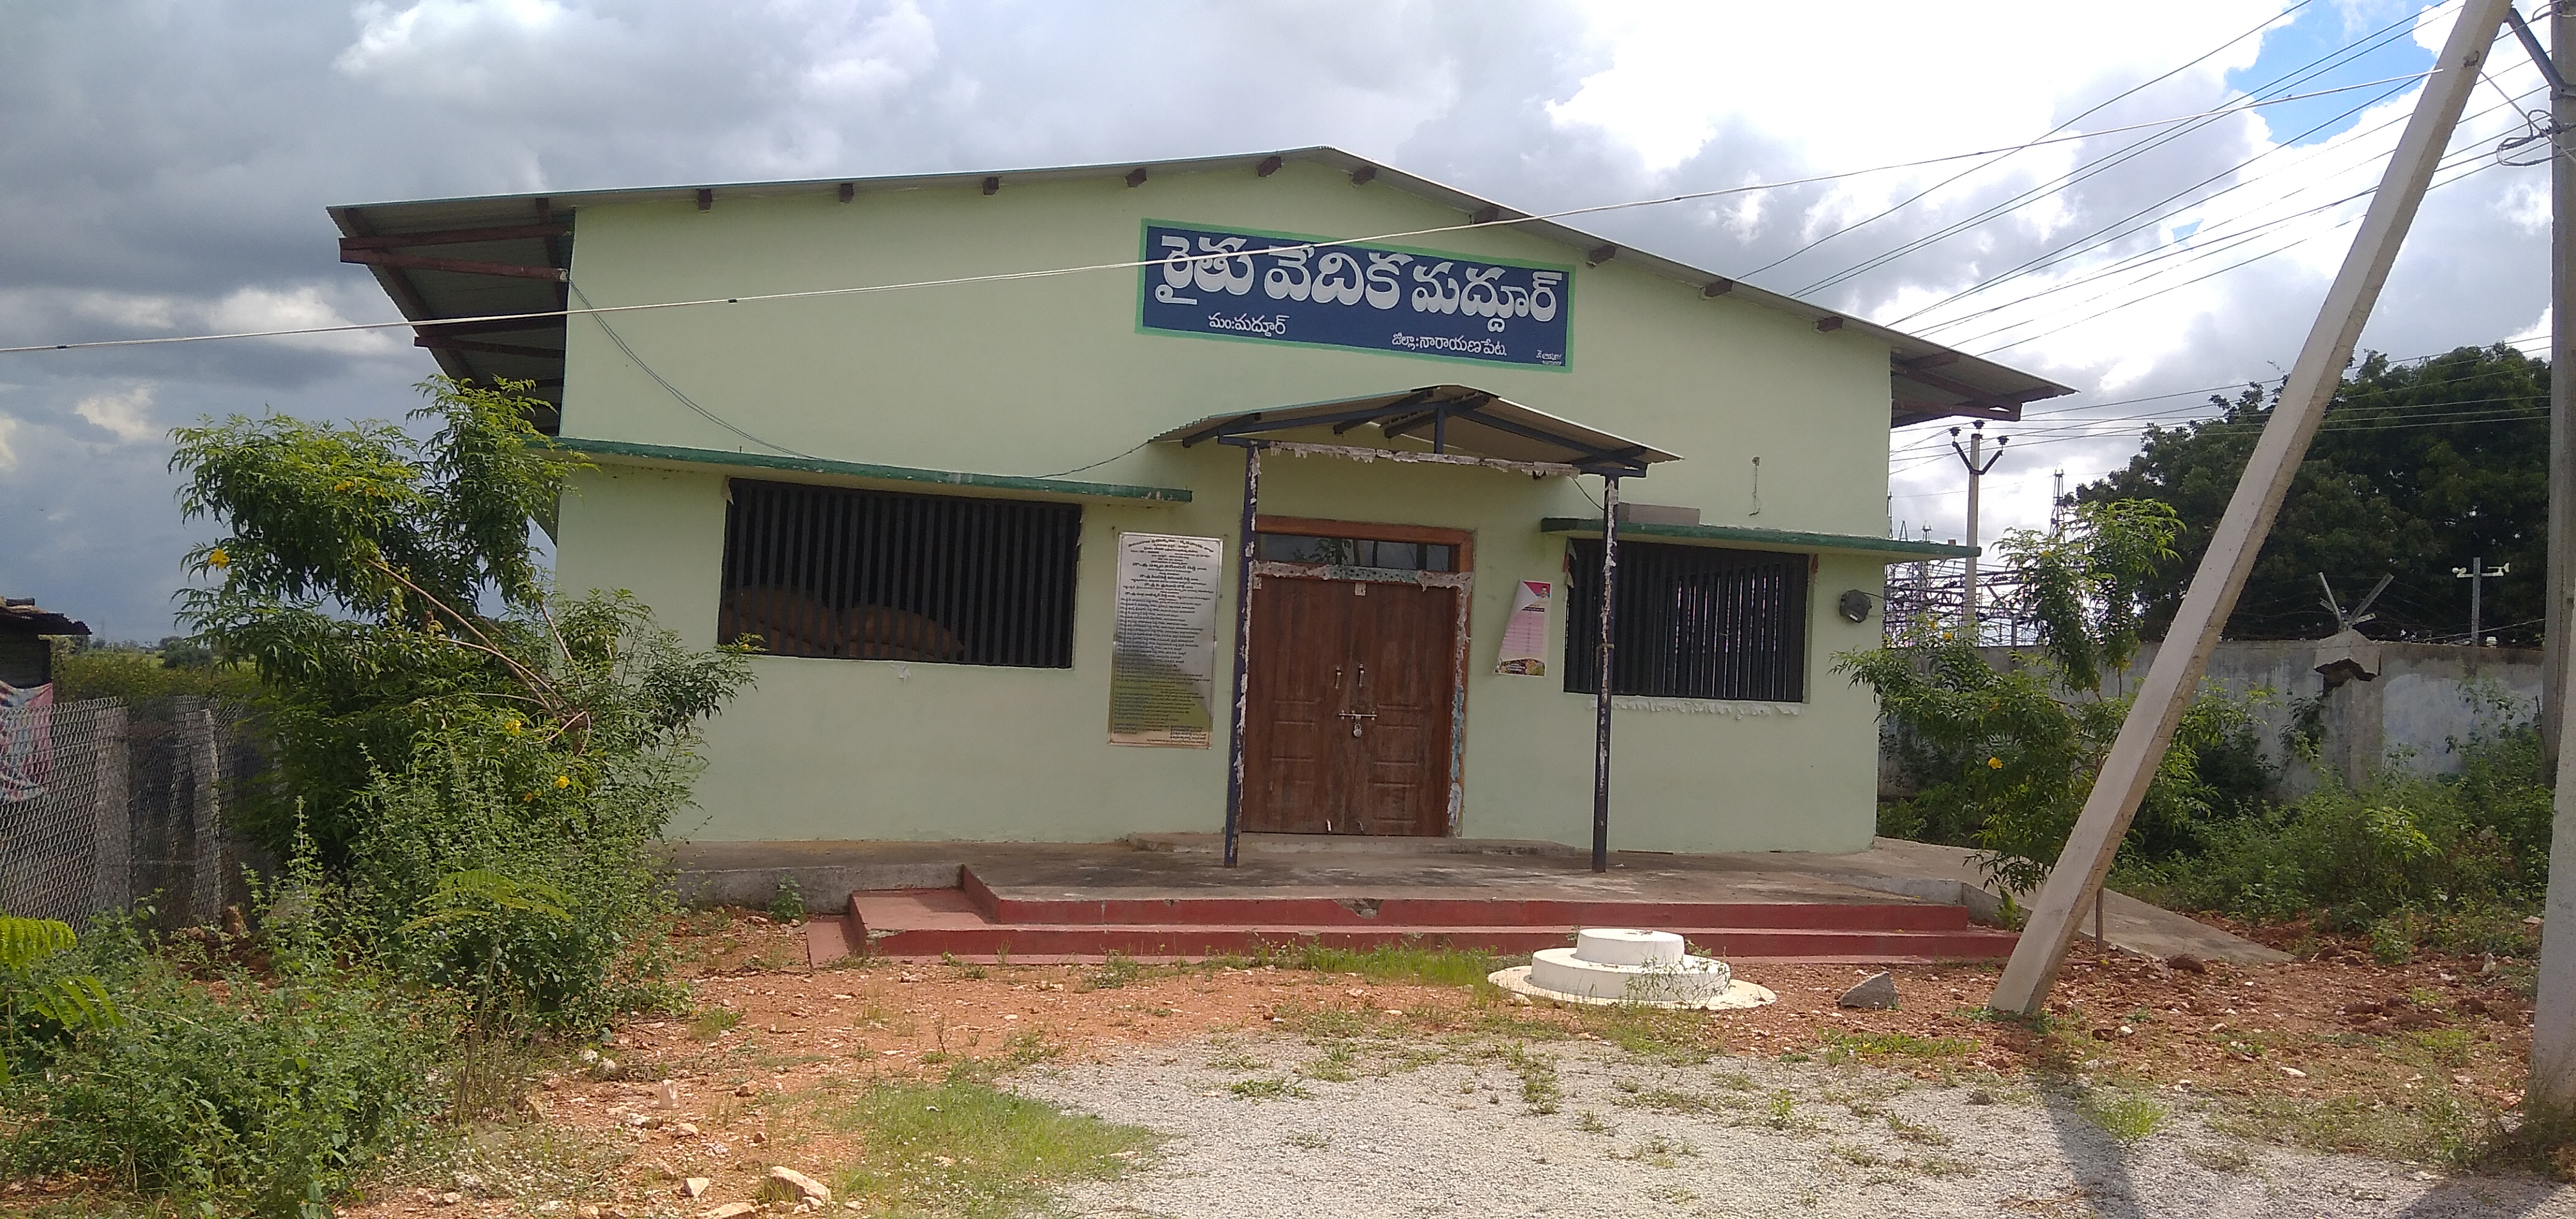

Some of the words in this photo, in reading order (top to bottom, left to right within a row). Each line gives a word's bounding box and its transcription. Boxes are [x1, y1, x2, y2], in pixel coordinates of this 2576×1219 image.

[1151, 229, 1258, 310] సైత
[1204, 308, 1291, 340] మం:మద్దూర్
[1260, 241, 1418, 313] వేదిక
[1388, 330, 1511, 360] జిల్లా:నారాయణపేట,
[1409, 258, 1565, 337] మద్దూర్